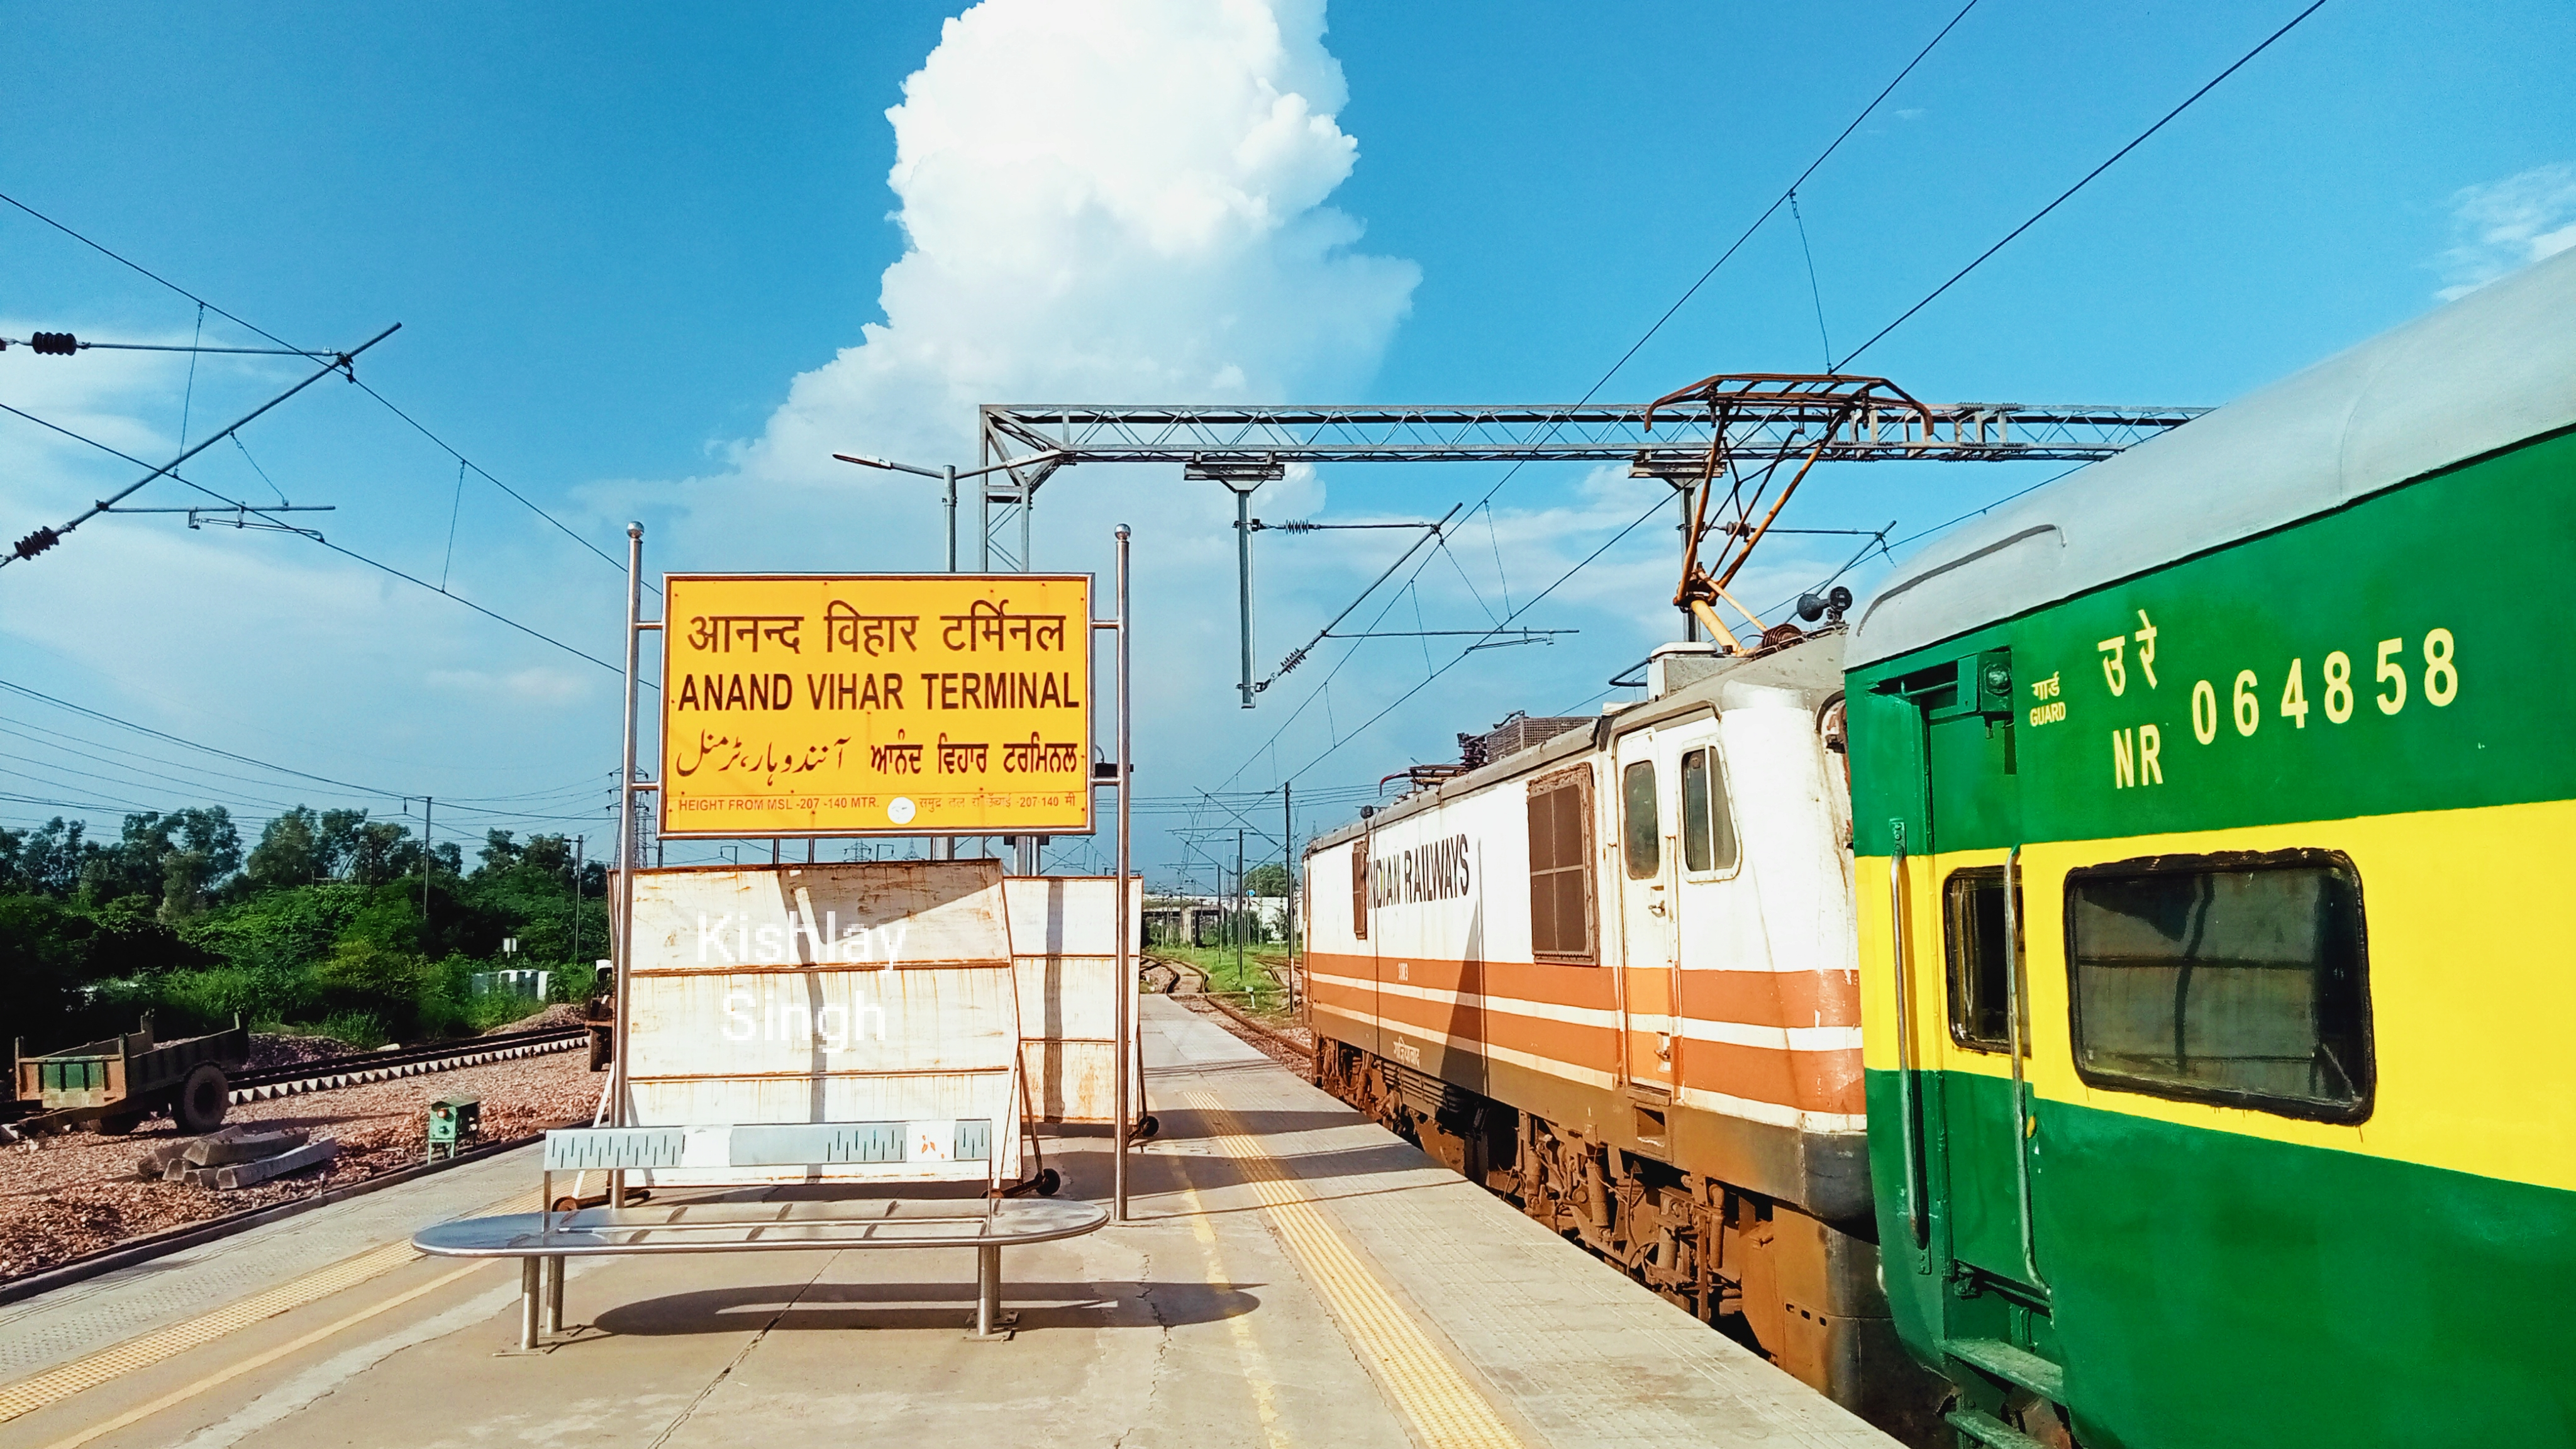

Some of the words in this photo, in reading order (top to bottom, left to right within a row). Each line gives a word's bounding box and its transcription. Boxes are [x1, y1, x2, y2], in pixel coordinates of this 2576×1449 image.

[686, 608, 806, 657] आनन्द
[818, 596, 920, 660] विहार
[937, 596, 1067, 653] टर्मिनल
[2093, 601, 2161, 709] उरे
[675, 670, 794, 714] ANAND
[804, 673, 905, 713] VIHAR
[921, 670, 1080, 713] TERMINAL
[2023, 697, 2067, 730] GUARD
[2029, 667, 2063, 705] गार्ड
[2189, 621, 2460, 749] 064858
[866, 725, 925, 778] ਆਨੰਦ
[932, 730, 991, 779] ਵਿਹਾਰ
[1002, 729, 1080, 777] ਟਰਮਿਨਲ
[2099, 716, 2170, 797] NR
[676, 797, 726, 813] HEIGHT
[728, 797, 765, 811] FROM
[765, 796, 796, 813] MSL
[800, 795, 850, 812] 207-140
[847, 796, 879, 811] MTR,
[918, 796, 944, 815] समुद्र
[947, 796, 968, 810] दल
[984, 789, 1014, 812] उँचाई
[1019, 796, 1061, 813] 207-140
[1061, 789, 1079, 808] मी
[1358, 852, 1406, 911] INDIAN
[1401, 831, 1474, 907] RAILWAYS
[696, 906, 910, 980] Kishlay
[722, 987, 888, 1057] Singh